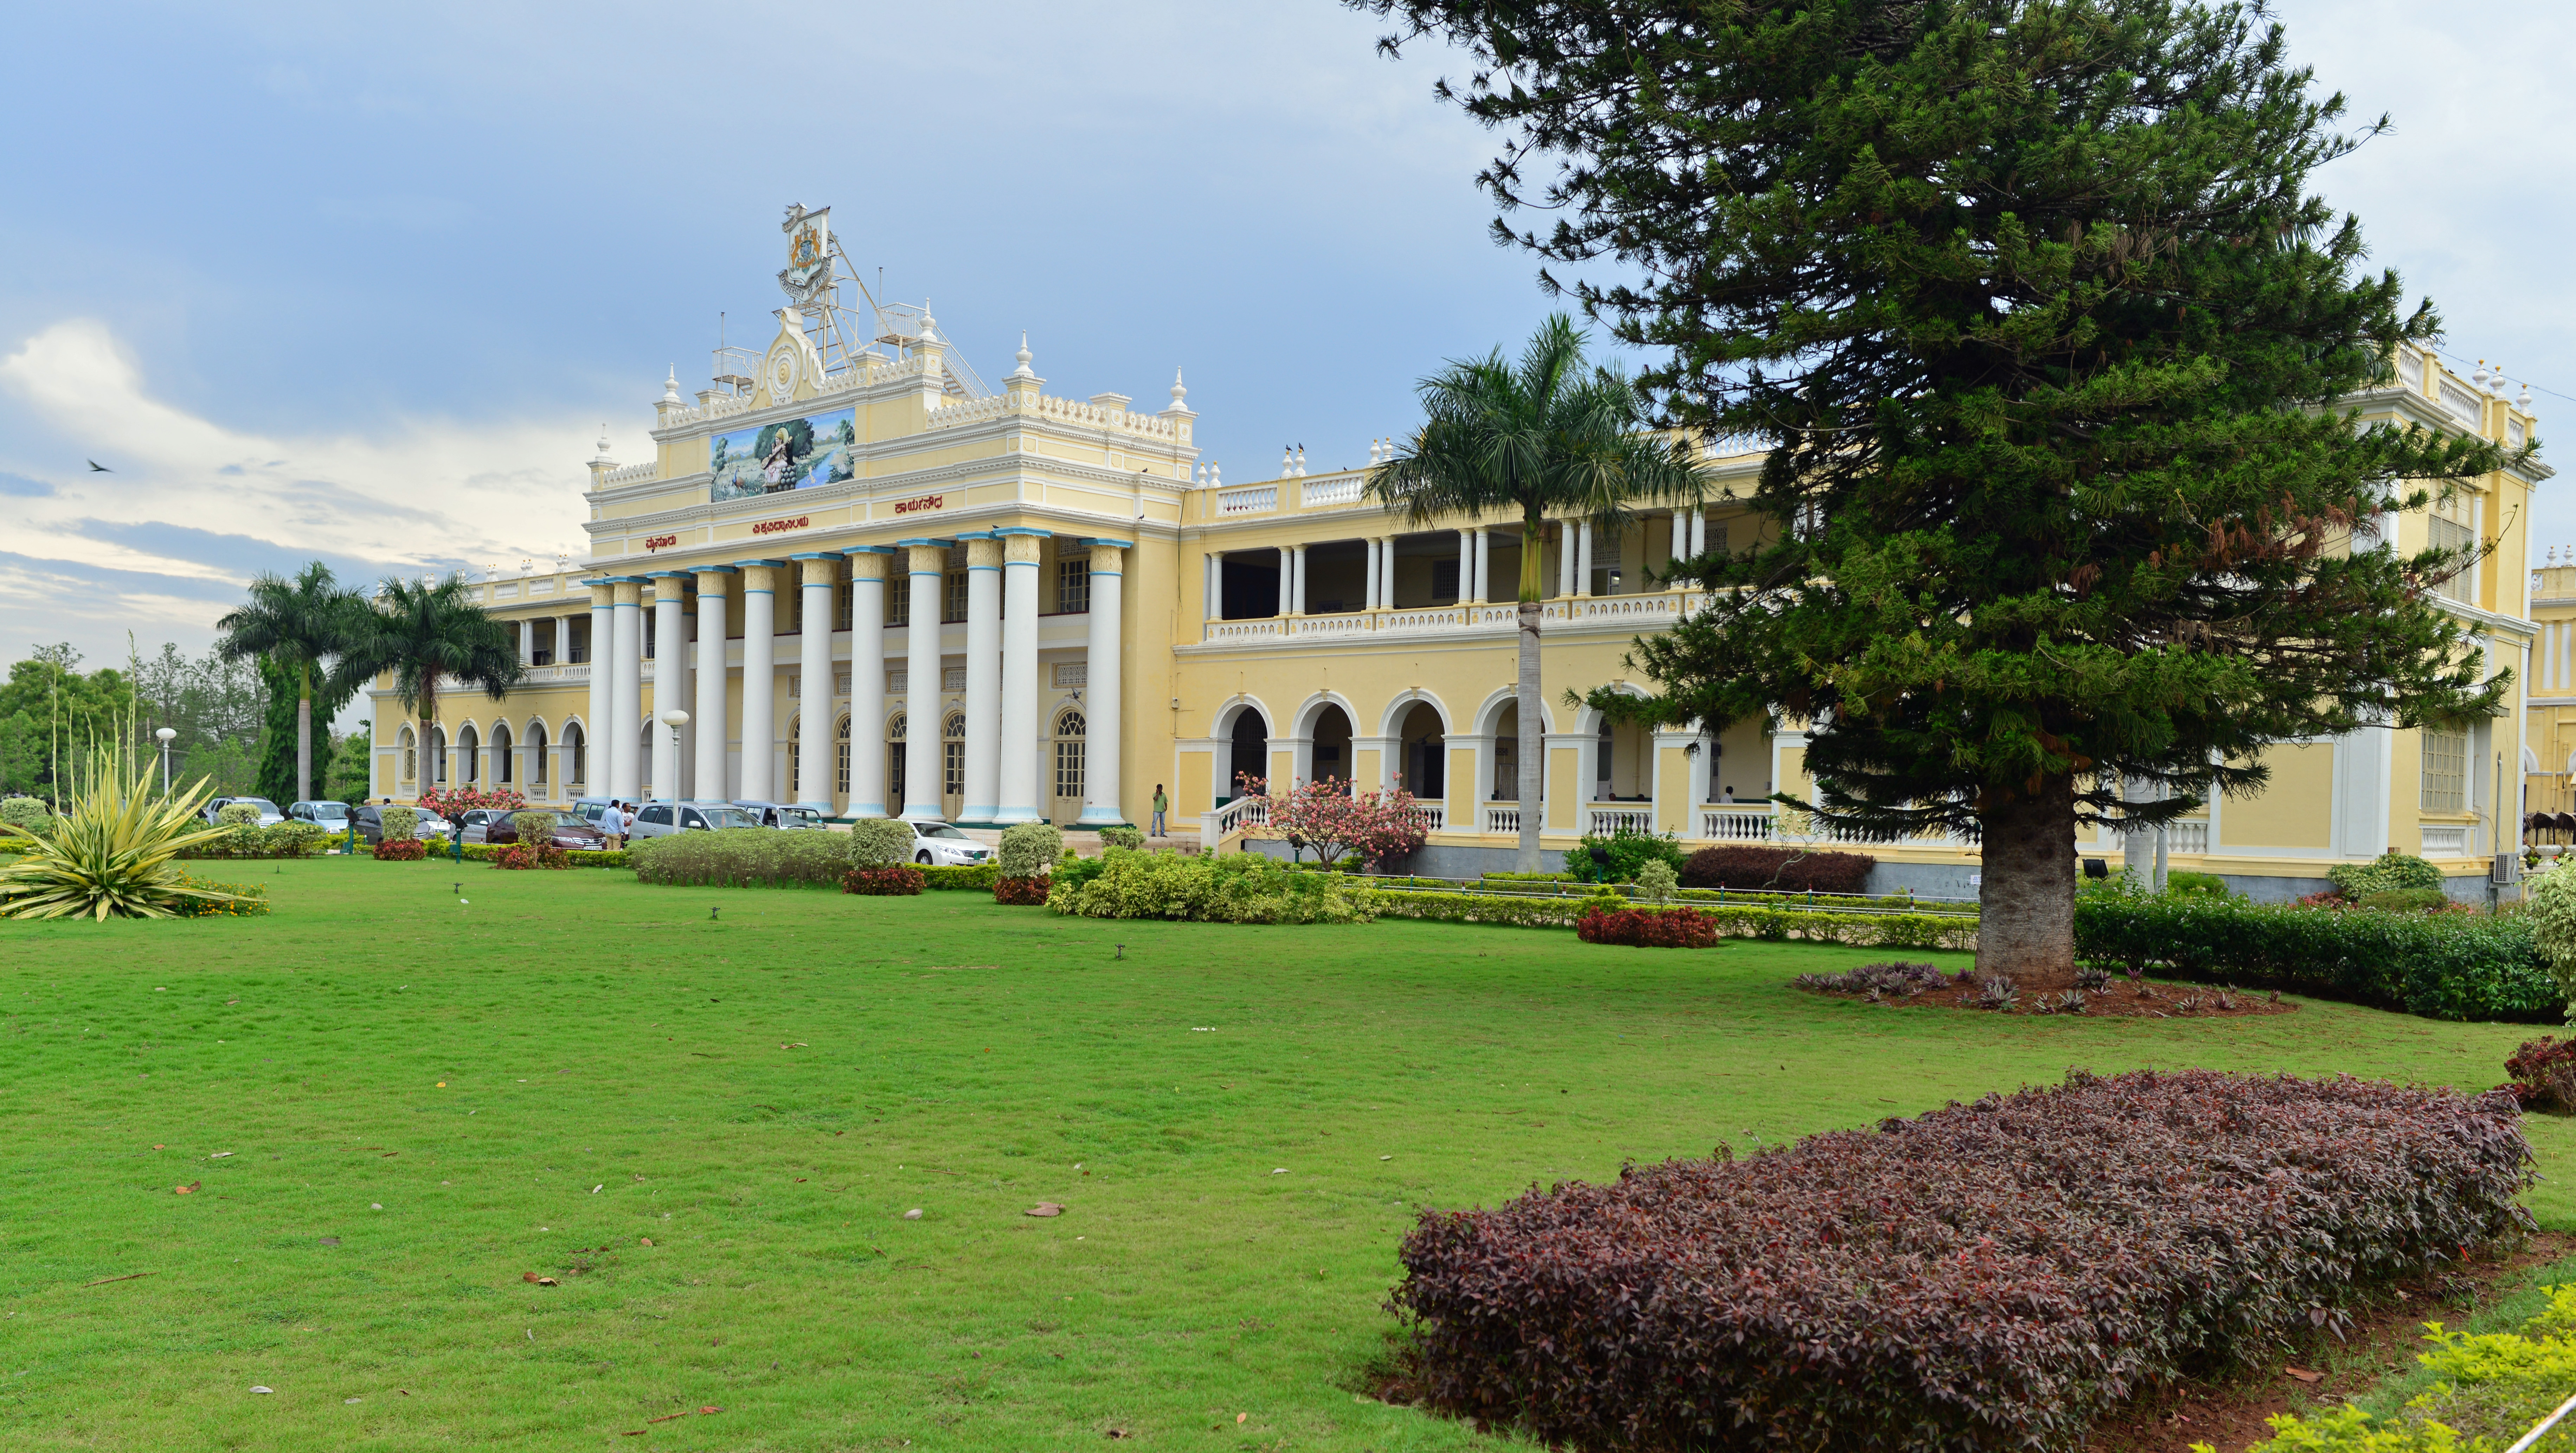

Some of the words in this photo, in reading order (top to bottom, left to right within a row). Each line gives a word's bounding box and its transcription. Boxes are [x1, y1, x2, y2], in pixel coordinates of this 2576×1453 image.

[892, 491, 944, 515] ಕಾರ್ಯಸೌಧ
[752, 513, 810, 537] ವಿಶ್ವವಿದ್ಯಾನಿಲಯ
[644, 532, 678, 552] ಮ್ರಸೂರ